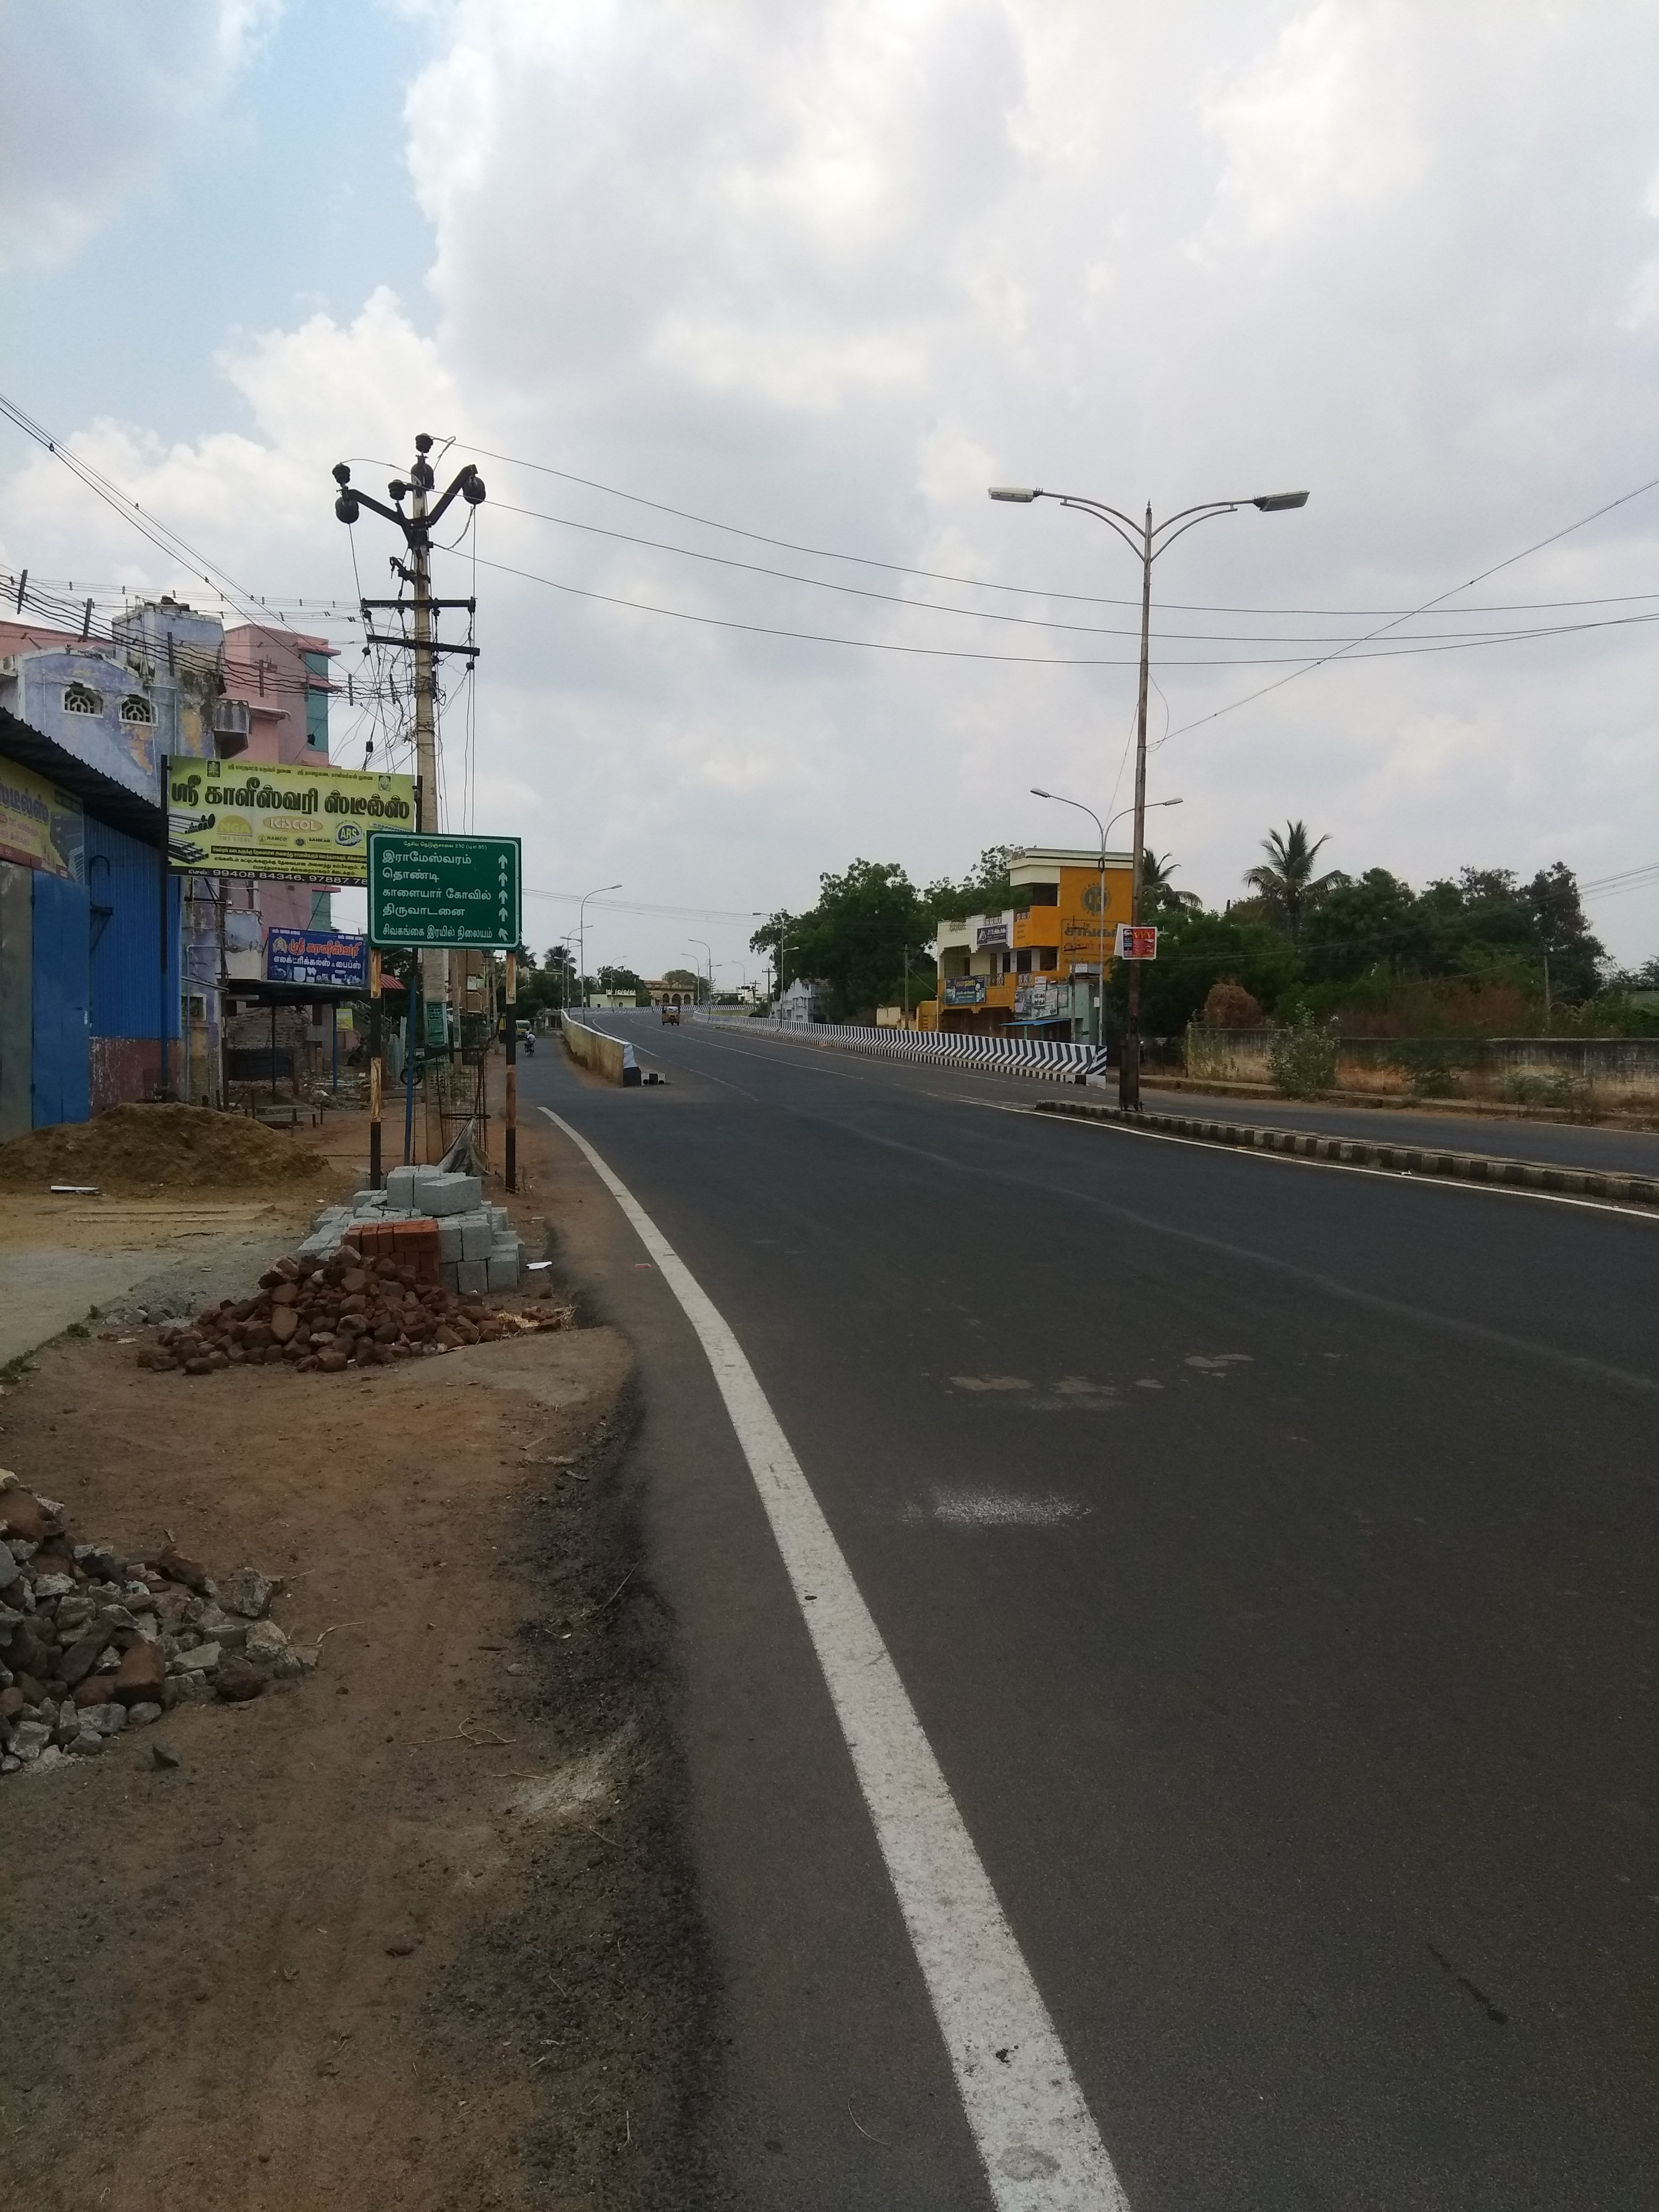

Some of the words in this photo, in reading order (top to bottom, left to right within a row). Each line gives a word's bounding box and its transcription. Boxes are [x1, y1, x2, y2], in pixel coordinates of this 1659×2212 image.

[169, 770, 205, 809] பநீ
[201, 773, 319, 816] காளீஸ்வரி
[320, 786, 413, 822] ஸ்டீல்ஸ்
[398, 835, 423, 849] தேசிய
[417, 839, 455, 853] நெடுஞ்சாலை
[380, 846, 477, 870] இராமேஸ்வரம்
[379, 860, 442, 886] தொண்டி
[381, 885, 445, 903] காளையாா்
[443, 882, 494, 903] கோவில்
[379, 897, 467, 920] திருவாடனை
[379, 920, 426, 940] சிவகங்கை
[422, 919, 457, 946] இரயில்
[454, 921, 495, 942] நிலையம்
[284, 933, 364, 960] ஸ்ரீகாளீஸ்வரி
[269, 952, 334, 970] எலக்ட்ரிக்கல்ஸ்&
[332, 956, 365, 971] பைப்ஸ்